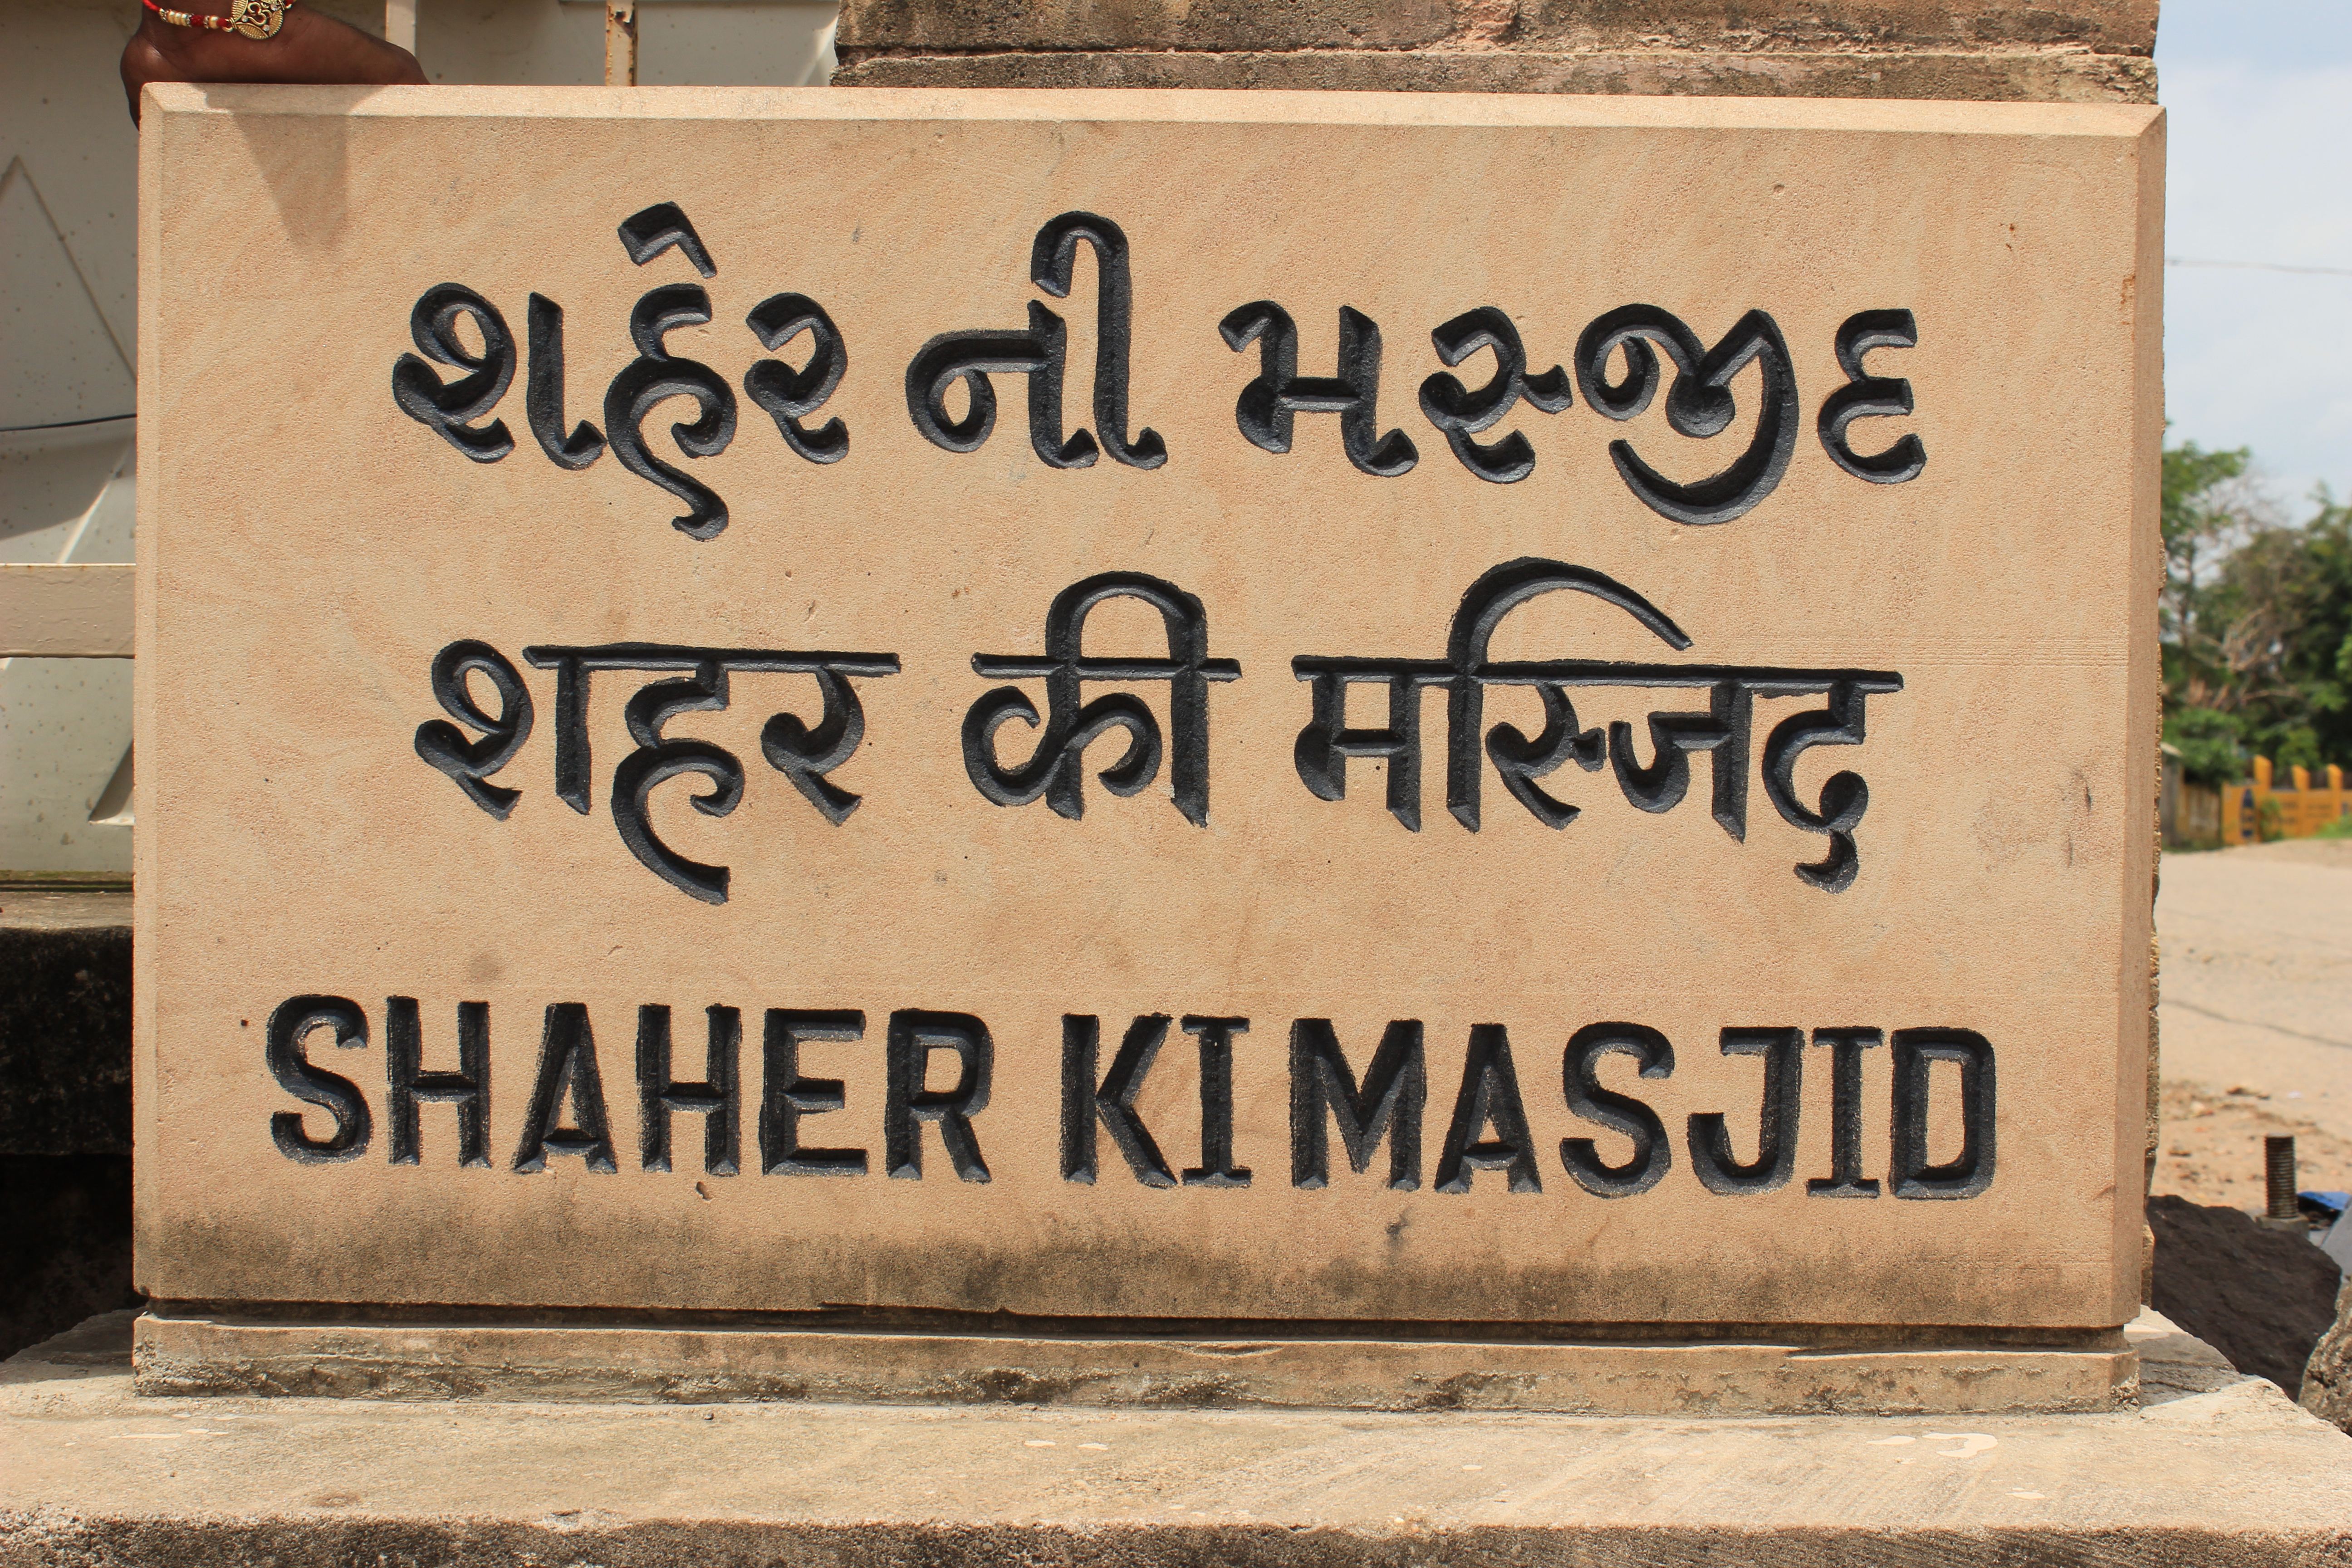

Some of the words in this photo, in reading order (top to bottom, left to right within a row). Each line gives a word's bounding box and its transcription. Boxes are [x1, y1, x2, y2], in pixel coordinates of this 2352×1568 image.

[367, 188, 867, 559] શહેર
[887, 194, 1191, 501] ની
[1201, 283, 1953, 536] મસ્જીદ
[392, 613, 929, 921] શહર
[949, 555, 1250, 847] क‍ी
[1263, 546, 1915, 900] मस्जिद
[252, 983, 1002, 1195] SHAHER
[1041, 1006, 1262, 1199] KI
[1279, 1014, 2005, 1213] MASJID